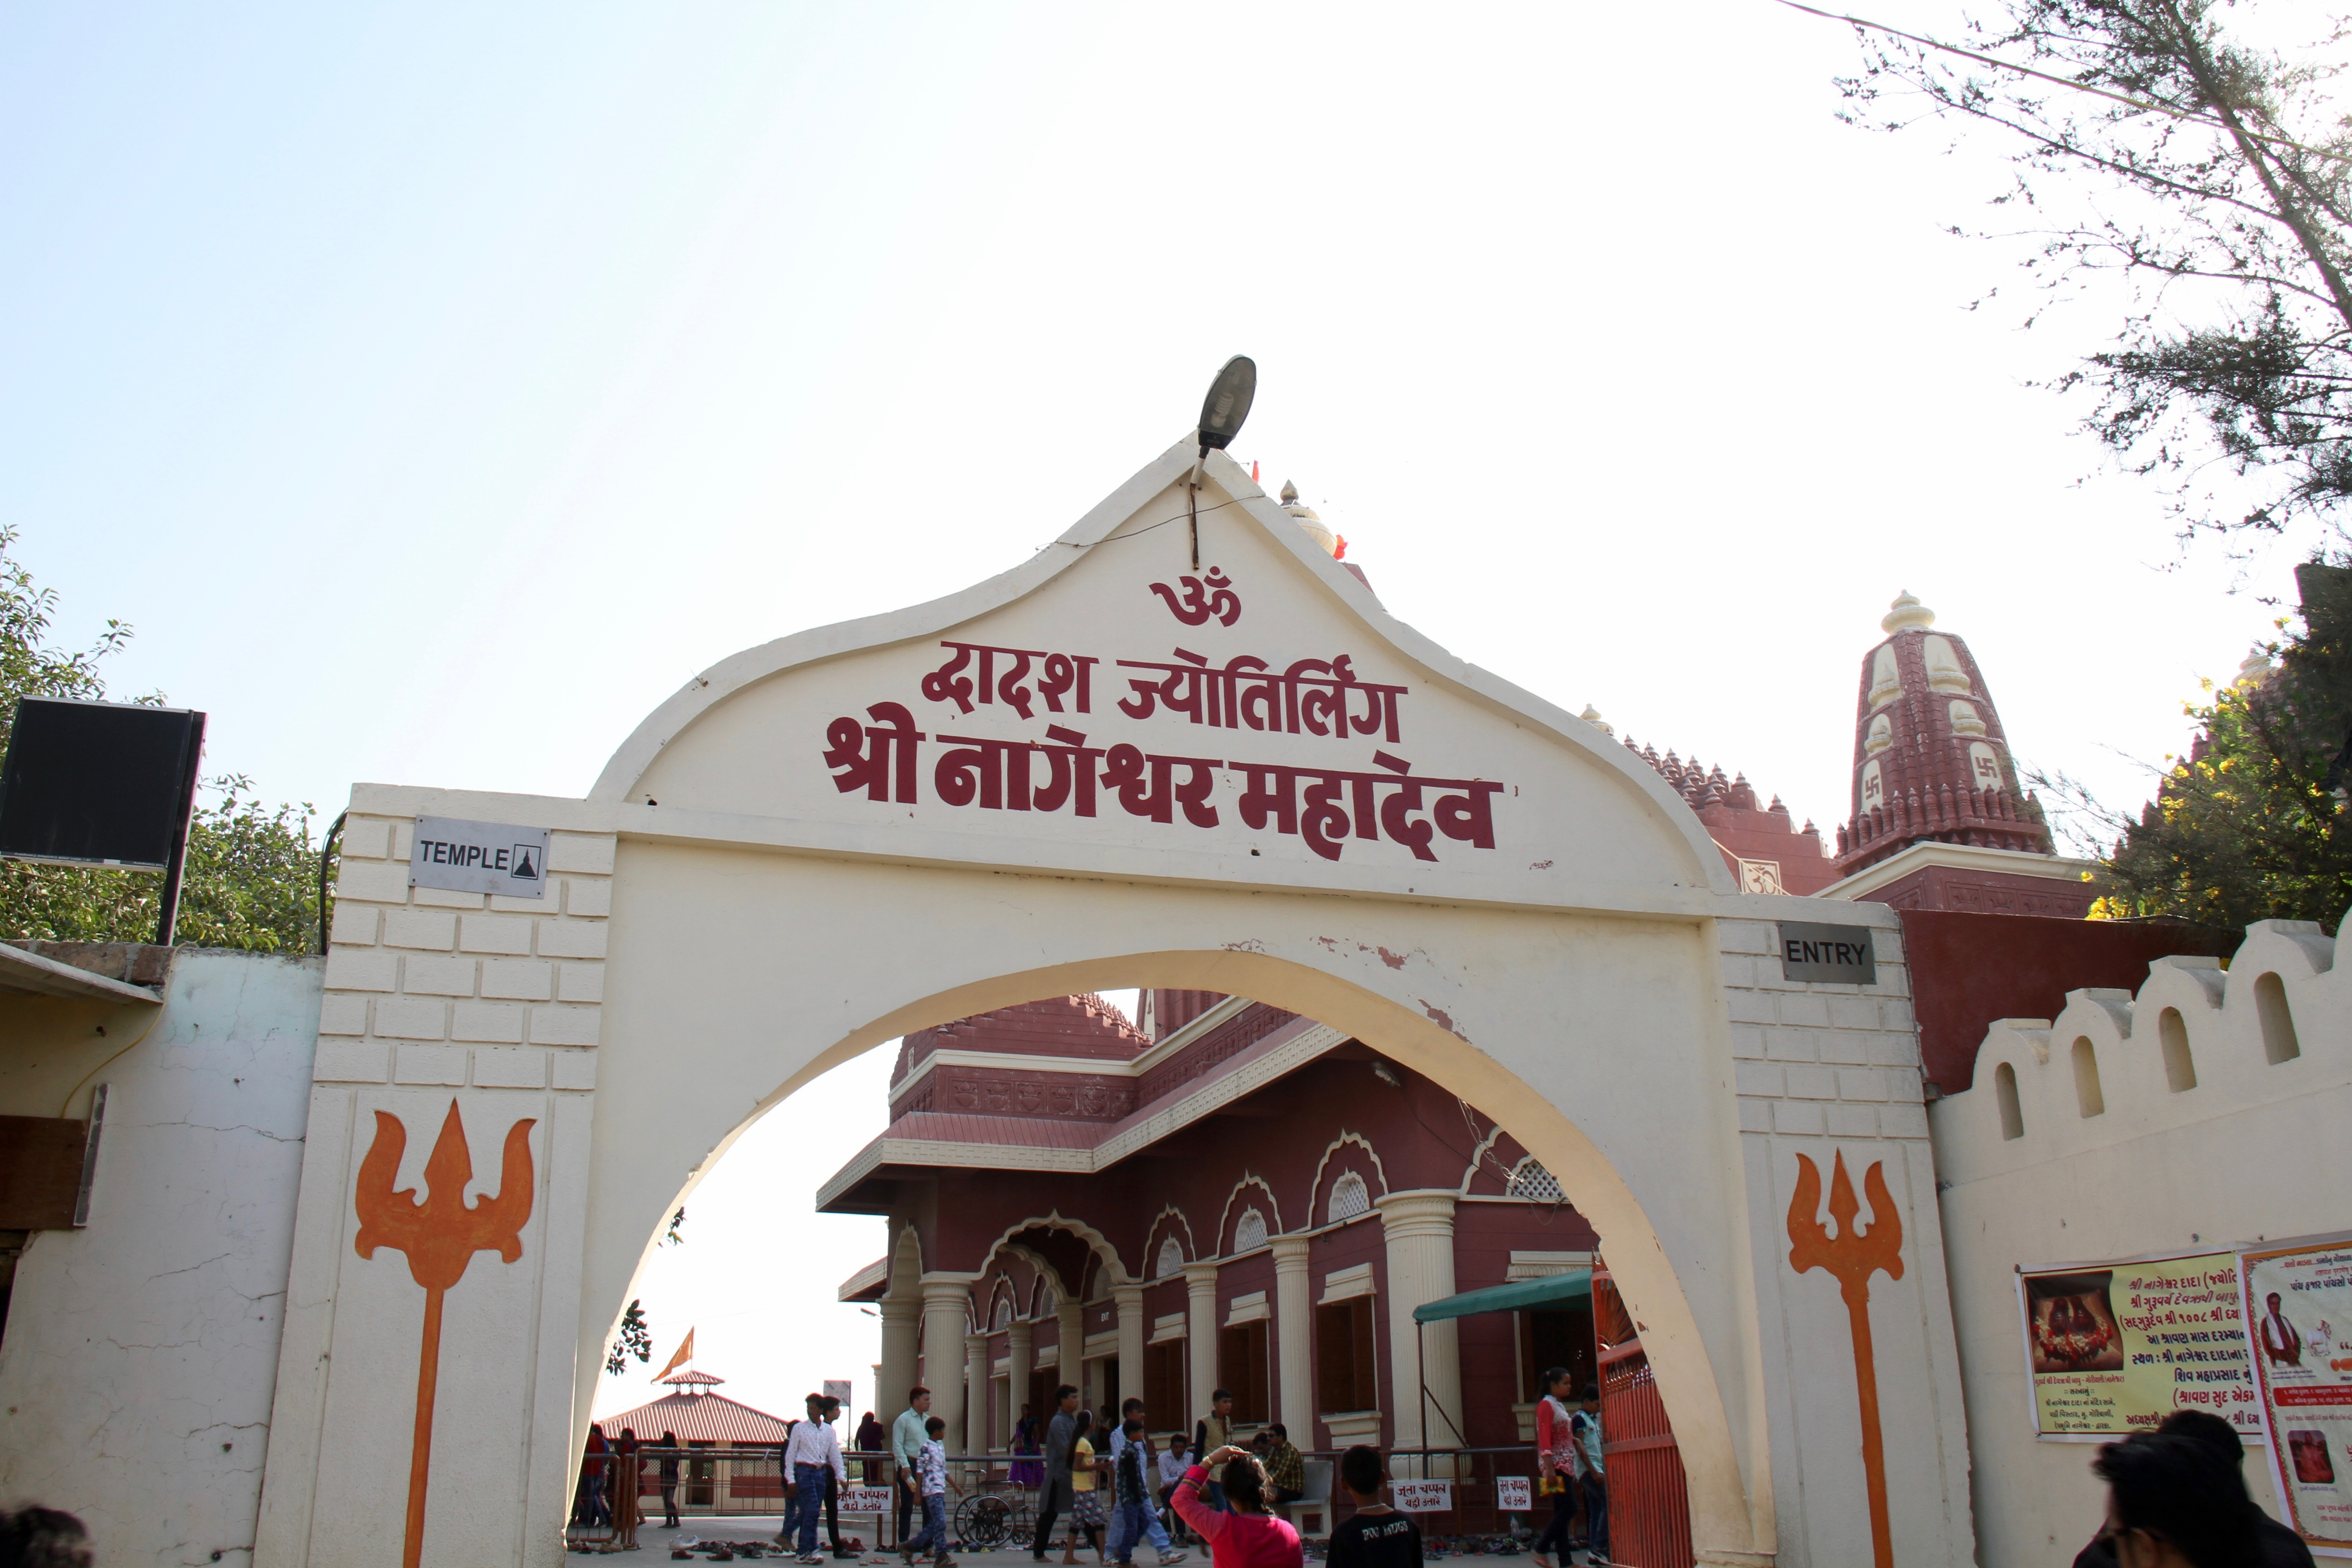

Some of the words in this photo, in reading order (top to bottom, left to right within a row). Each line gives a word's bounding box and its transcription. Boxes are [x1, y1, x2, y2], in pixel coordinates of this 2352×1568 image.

[1142, 561, 1251, 630] ॐ
[916, 633, 1098, 722] द्वादश
[1115, 643, 1416, 748] ज्यॊतिर्लिंग
[813, 695, 934, 814] श्री
[931, 720, 1227, 831] नागॆश्वर
[1225, 746, 1509, 869] महादेव
[413, 834, 513, 872] TEMPLE
[1781, 929, 1869, 974] ENTRY
[2127, 1275, 2144, 1292] શ્રી
[2143, 1273, 2180, 1289] નાગેશ્વર
[2179, 1275, 2201, 1289] દાદ1
[2288, 1279, 2305, 1291] પાચ
[2304, 1279, 2323, 1291] હજાર
[2322, 1274, 2347, 1288] પાંચસો
[2128, 1292, 2143, 1309] श्री
[2142, 1290, 2176, 1312] ગુ३વર્ય
[2173, 1289, 2215, 1305] દેવઋષી
[2122, 1311, 2165, 1332] સદ્દગુરુદેવ
[2163, 1308, 2180, 1326] શ્રી
[2176, 1310, 2209, 1325] ૧૦૦૮
[2209, 1305, 2224, 1321] श्री
[2143, 1333, 2161, 1347] આ
[2160, 1332, 2190, 1344] શ્રાવણ
[2188, 1330, 2211, 1342] માસ
[2210, 1328, 2240, 1342] દરમ્યા
[2129, 1352, 2155, 1366] સ્થળ
[2160, 1348, 2174, 1364] શ્ર0
[2174, 1346, 2210, 1362] નાગેશ્વર
[2208, 1348, 2244, 1362] દાદાના
[2172, 1366, 2195, 1382] શિવ
[2195, 1368, 2244, 1383] મહાપ્રસાદ
[2178, 1389, 2211, 1404] શ્રાવણ
[2212, 1389, 2228, 1410] સુદ
[2229, 1383, 2256, 1405] એકમ
[2124, 1411, 2162, 1426] અઘ્યક્ષશ્રી
[2230, 1407, 2247, 1425] શ્રી
[836, 1490, 856, 1501] નતા
[840, 1499, 860, 1513] यहां
[861, 1499, 882, 1510] उतारें
[857, 1490, 889, 1501] चप्पल
[1396, 1483, 1418, 1499] जूता
[1403, 1494, 1421, 1510] यहो
[1421, 1494, 1444, 1508] उतारें
[1418, 1481, 1449, 1494] चप्पल
[1498, 1478, 1509, 1494] जूता
[1509, 1479, 1530, 1492] चप्पल
[1512, 1492, 1529, 1506] उतारें